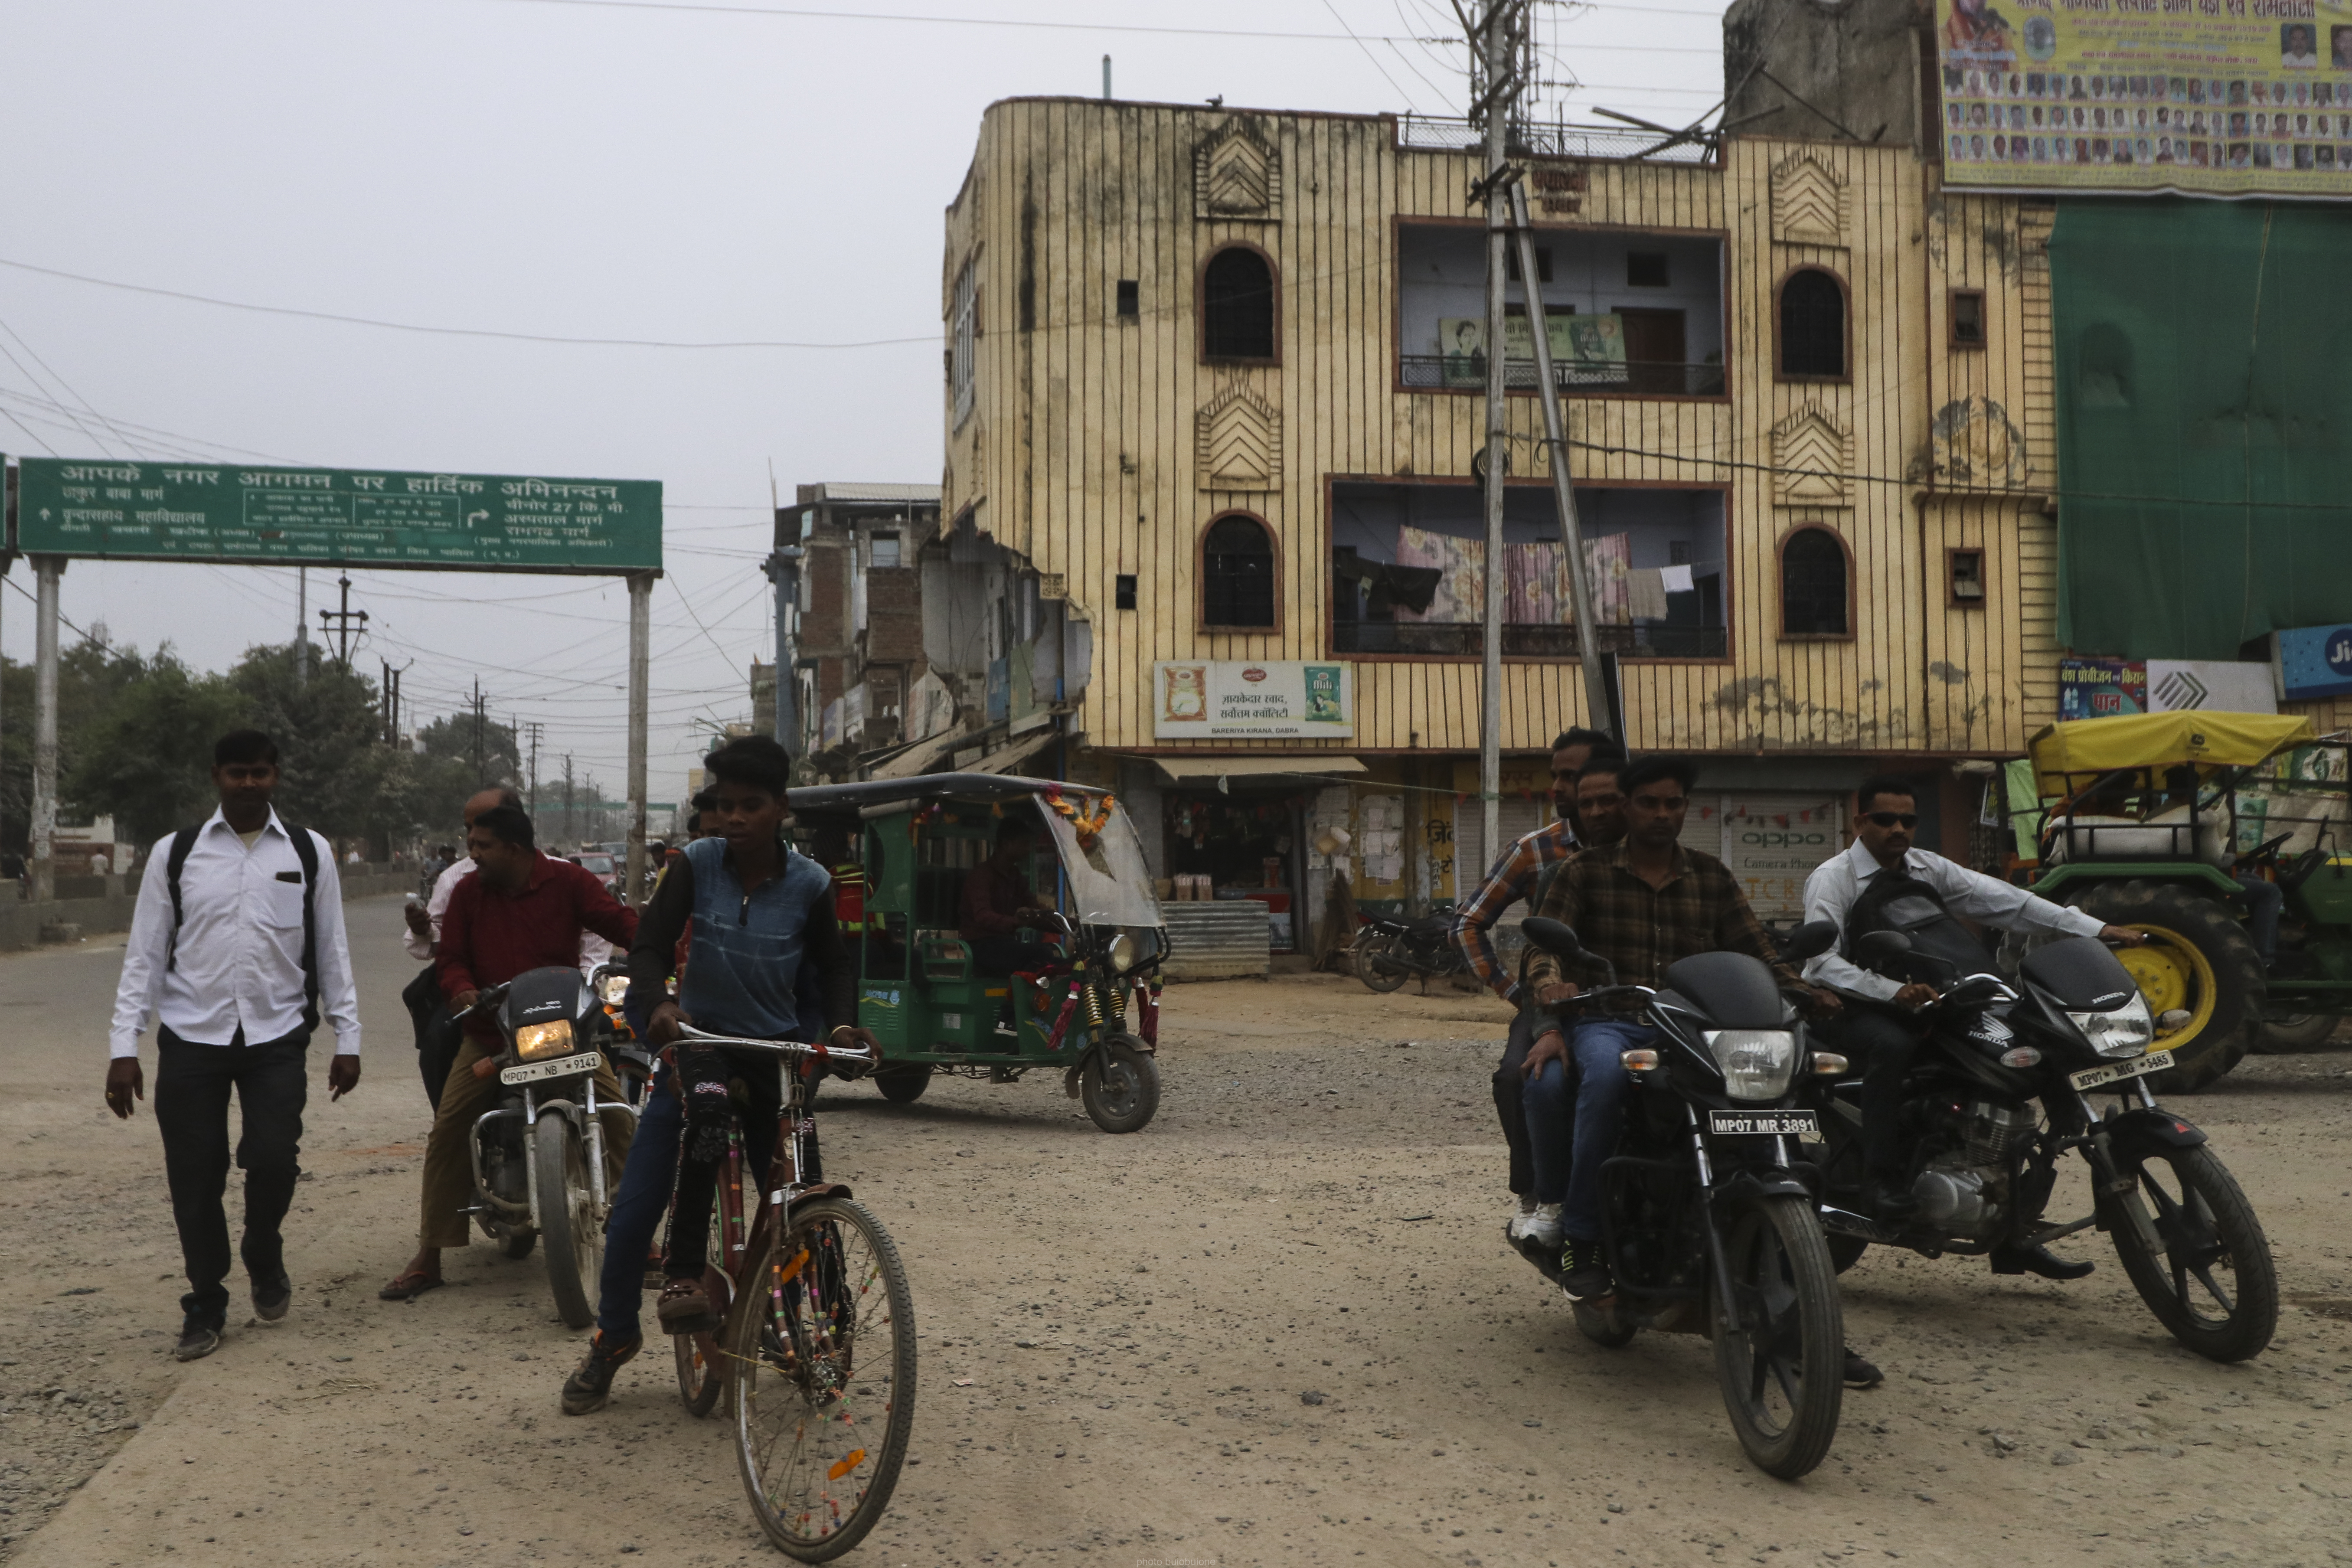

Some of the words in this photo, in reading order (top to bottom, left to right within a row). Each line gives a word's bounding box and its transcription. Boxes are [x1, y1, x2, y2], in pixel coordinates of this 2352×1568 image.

[60, 485, 98, 507] ठाकुर
[62, 506, 125, 524] वृन्दासहाय
[59, 460, 143, 484] आपके
[105, 487, 133, 501] बाबा
[139, 484, 164, 502] मार्ग
[134, 506, 207, 526] महाविद्यालय
[162, 467, 221, 488] नगर
[237, 469, 332, 489] आगमन
[351, 474, 387, 491] पर
[405, 470, 486, 495] हार्दिक
[504, 496, 549, 511] मीनोर
[503, 513, 568, 526] अस्पताल
[498, 475, 620, 503] अभिनन्दन
[550, 501, 575, 513] 27
[575, 500, 601, 513] कि
[573, 511, 604, 526] मार्ग
[604, 497, 624, 515] भी
[504, 525, 554, 538] रामगढ
[561, 525, 591, 538] मार्ग
[2074, 660, 2115, 688] प्रोवीजन
[1219, 690, 1264, 706] ज़ायकेदार
[1262, 693, 1285, 705] खाद
[2091, 688, 2127, 715] पान
[1218, 704, 1251, 719] सर्वोत्तम
[1251, 704, 1289, 721] क्वॉलिटी
[1211, 727, 1246, 735] BARERIYA
[1245, 726, 1273, 735] KIRANA
[1274, 725, 1301, 735] DABRA
[1707, 1110, 1814, 1142] MP07MR3891